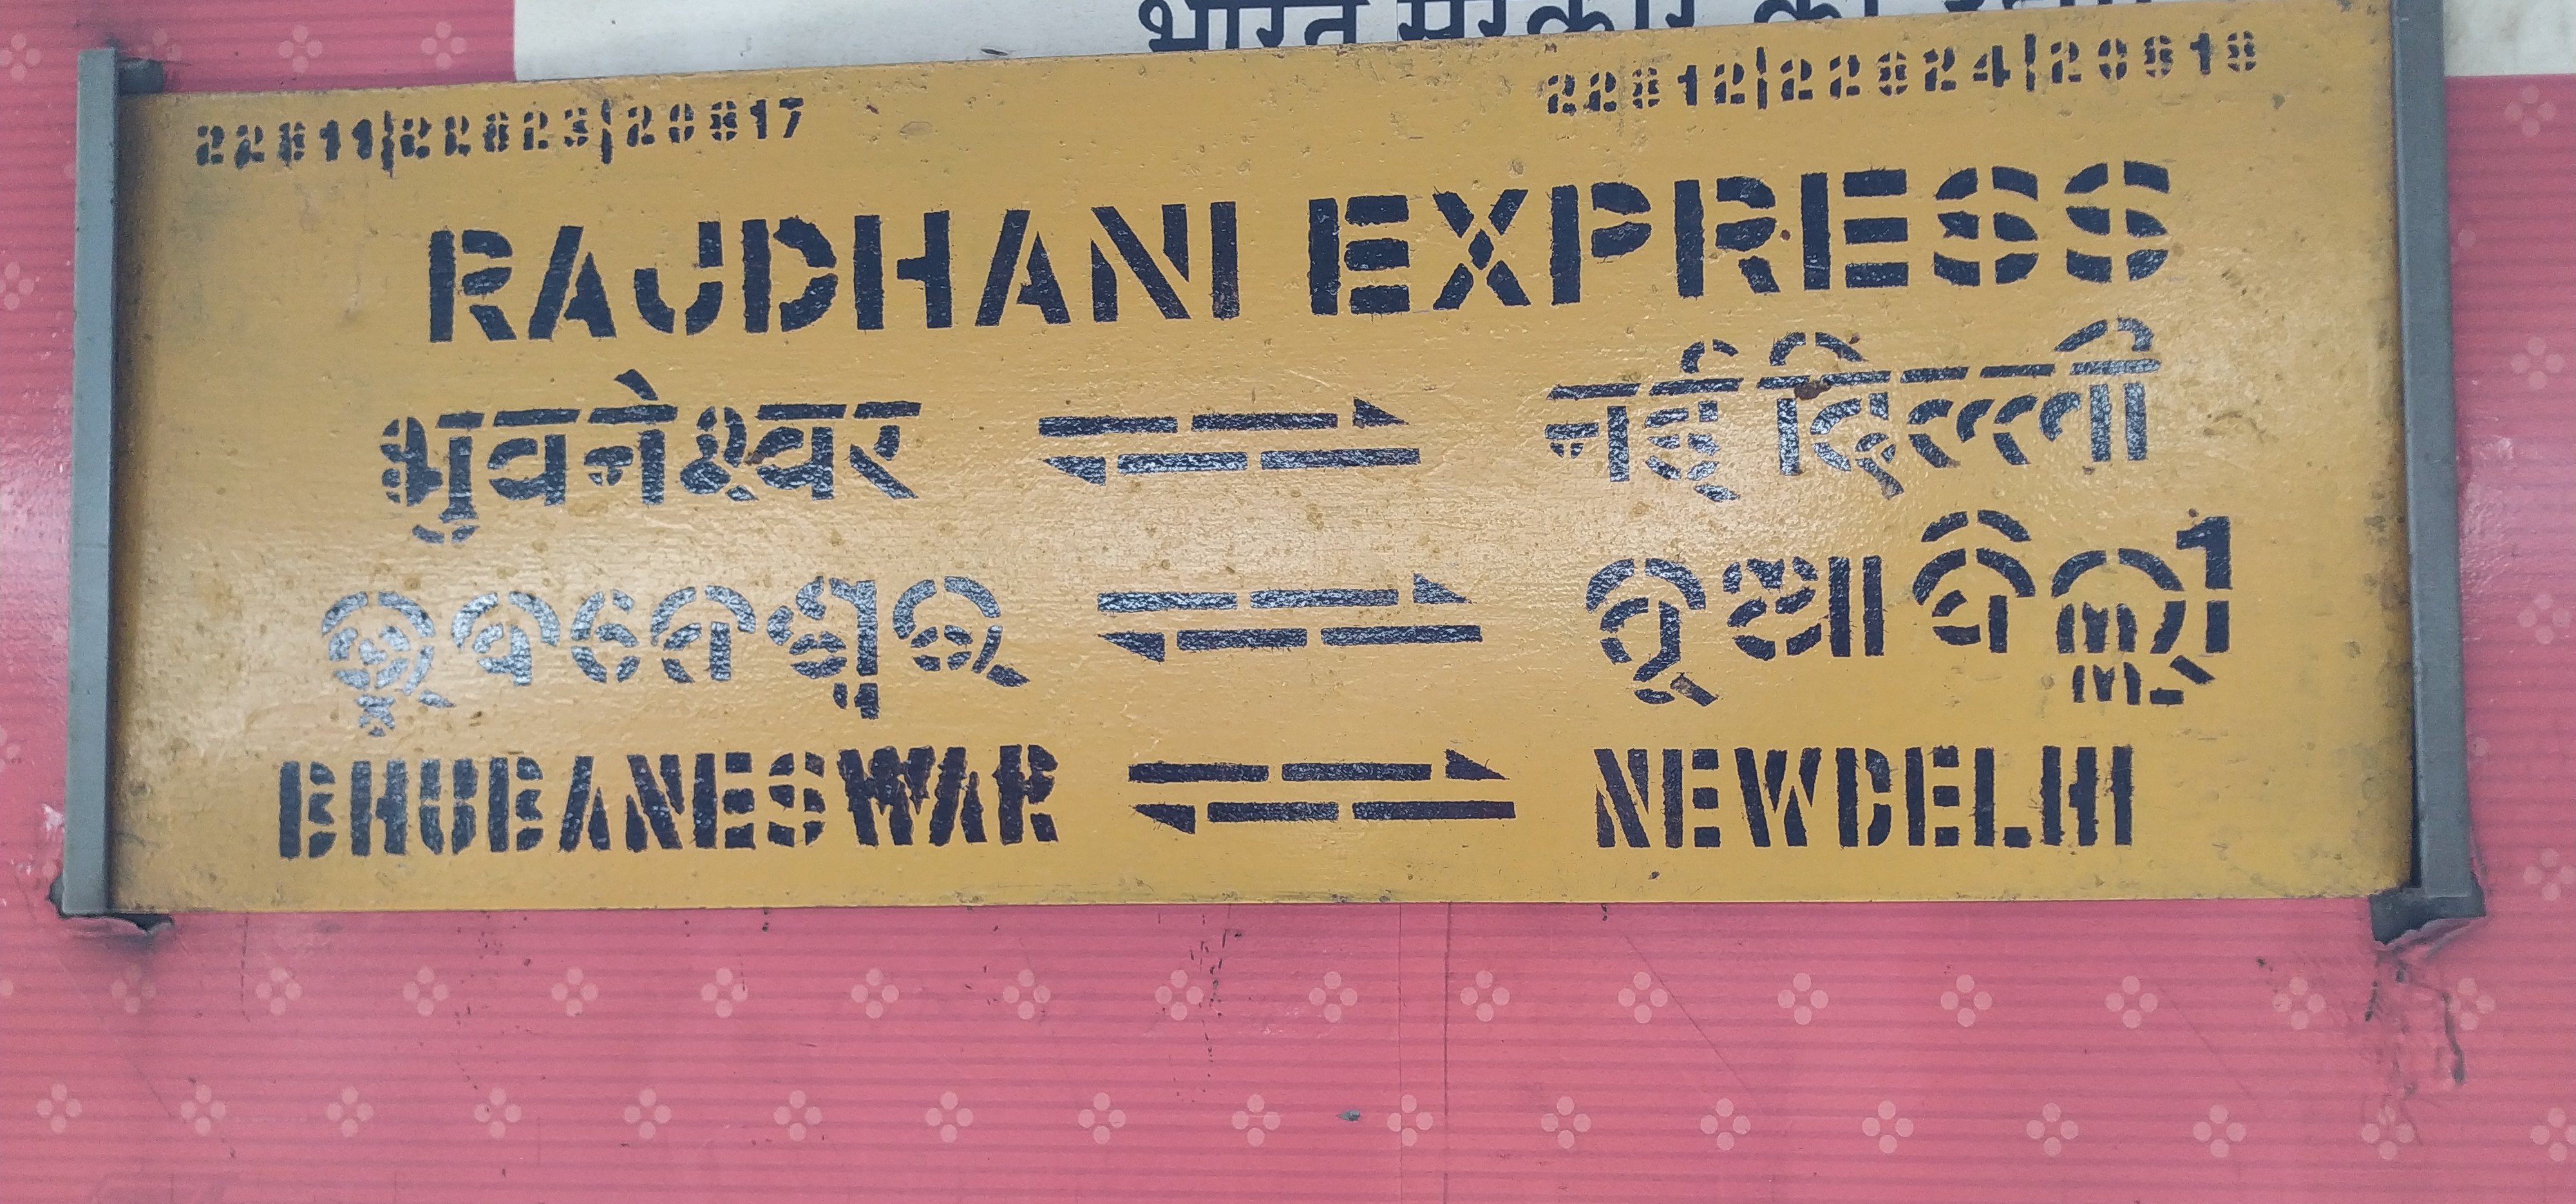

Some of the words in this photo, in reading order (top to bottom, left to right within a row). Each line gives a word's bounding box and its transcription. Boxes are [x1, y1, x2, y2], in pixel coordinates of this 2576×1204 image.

[424, 196, 1246, 350] RAJDHANI
[1302, 158, 2175, 321] EXPRESS
[375, 364, 924, 552] भुवनेश्वर
[1540, 333, 1747, 508] नई
[1754, 314, 2166, 505] दिल्ली
[317, 569, 1037, 743] ଭୁବନେଶ୍ୱର
[1580, 502, 2235, 713] ନୂଆଦିଲ୍ଲୀ
[272, 742, 1065, 868] BHUBANESWAR
[1589, 742, 1827, 857] NEW
[1835, 743, 2139, 854] DELHI